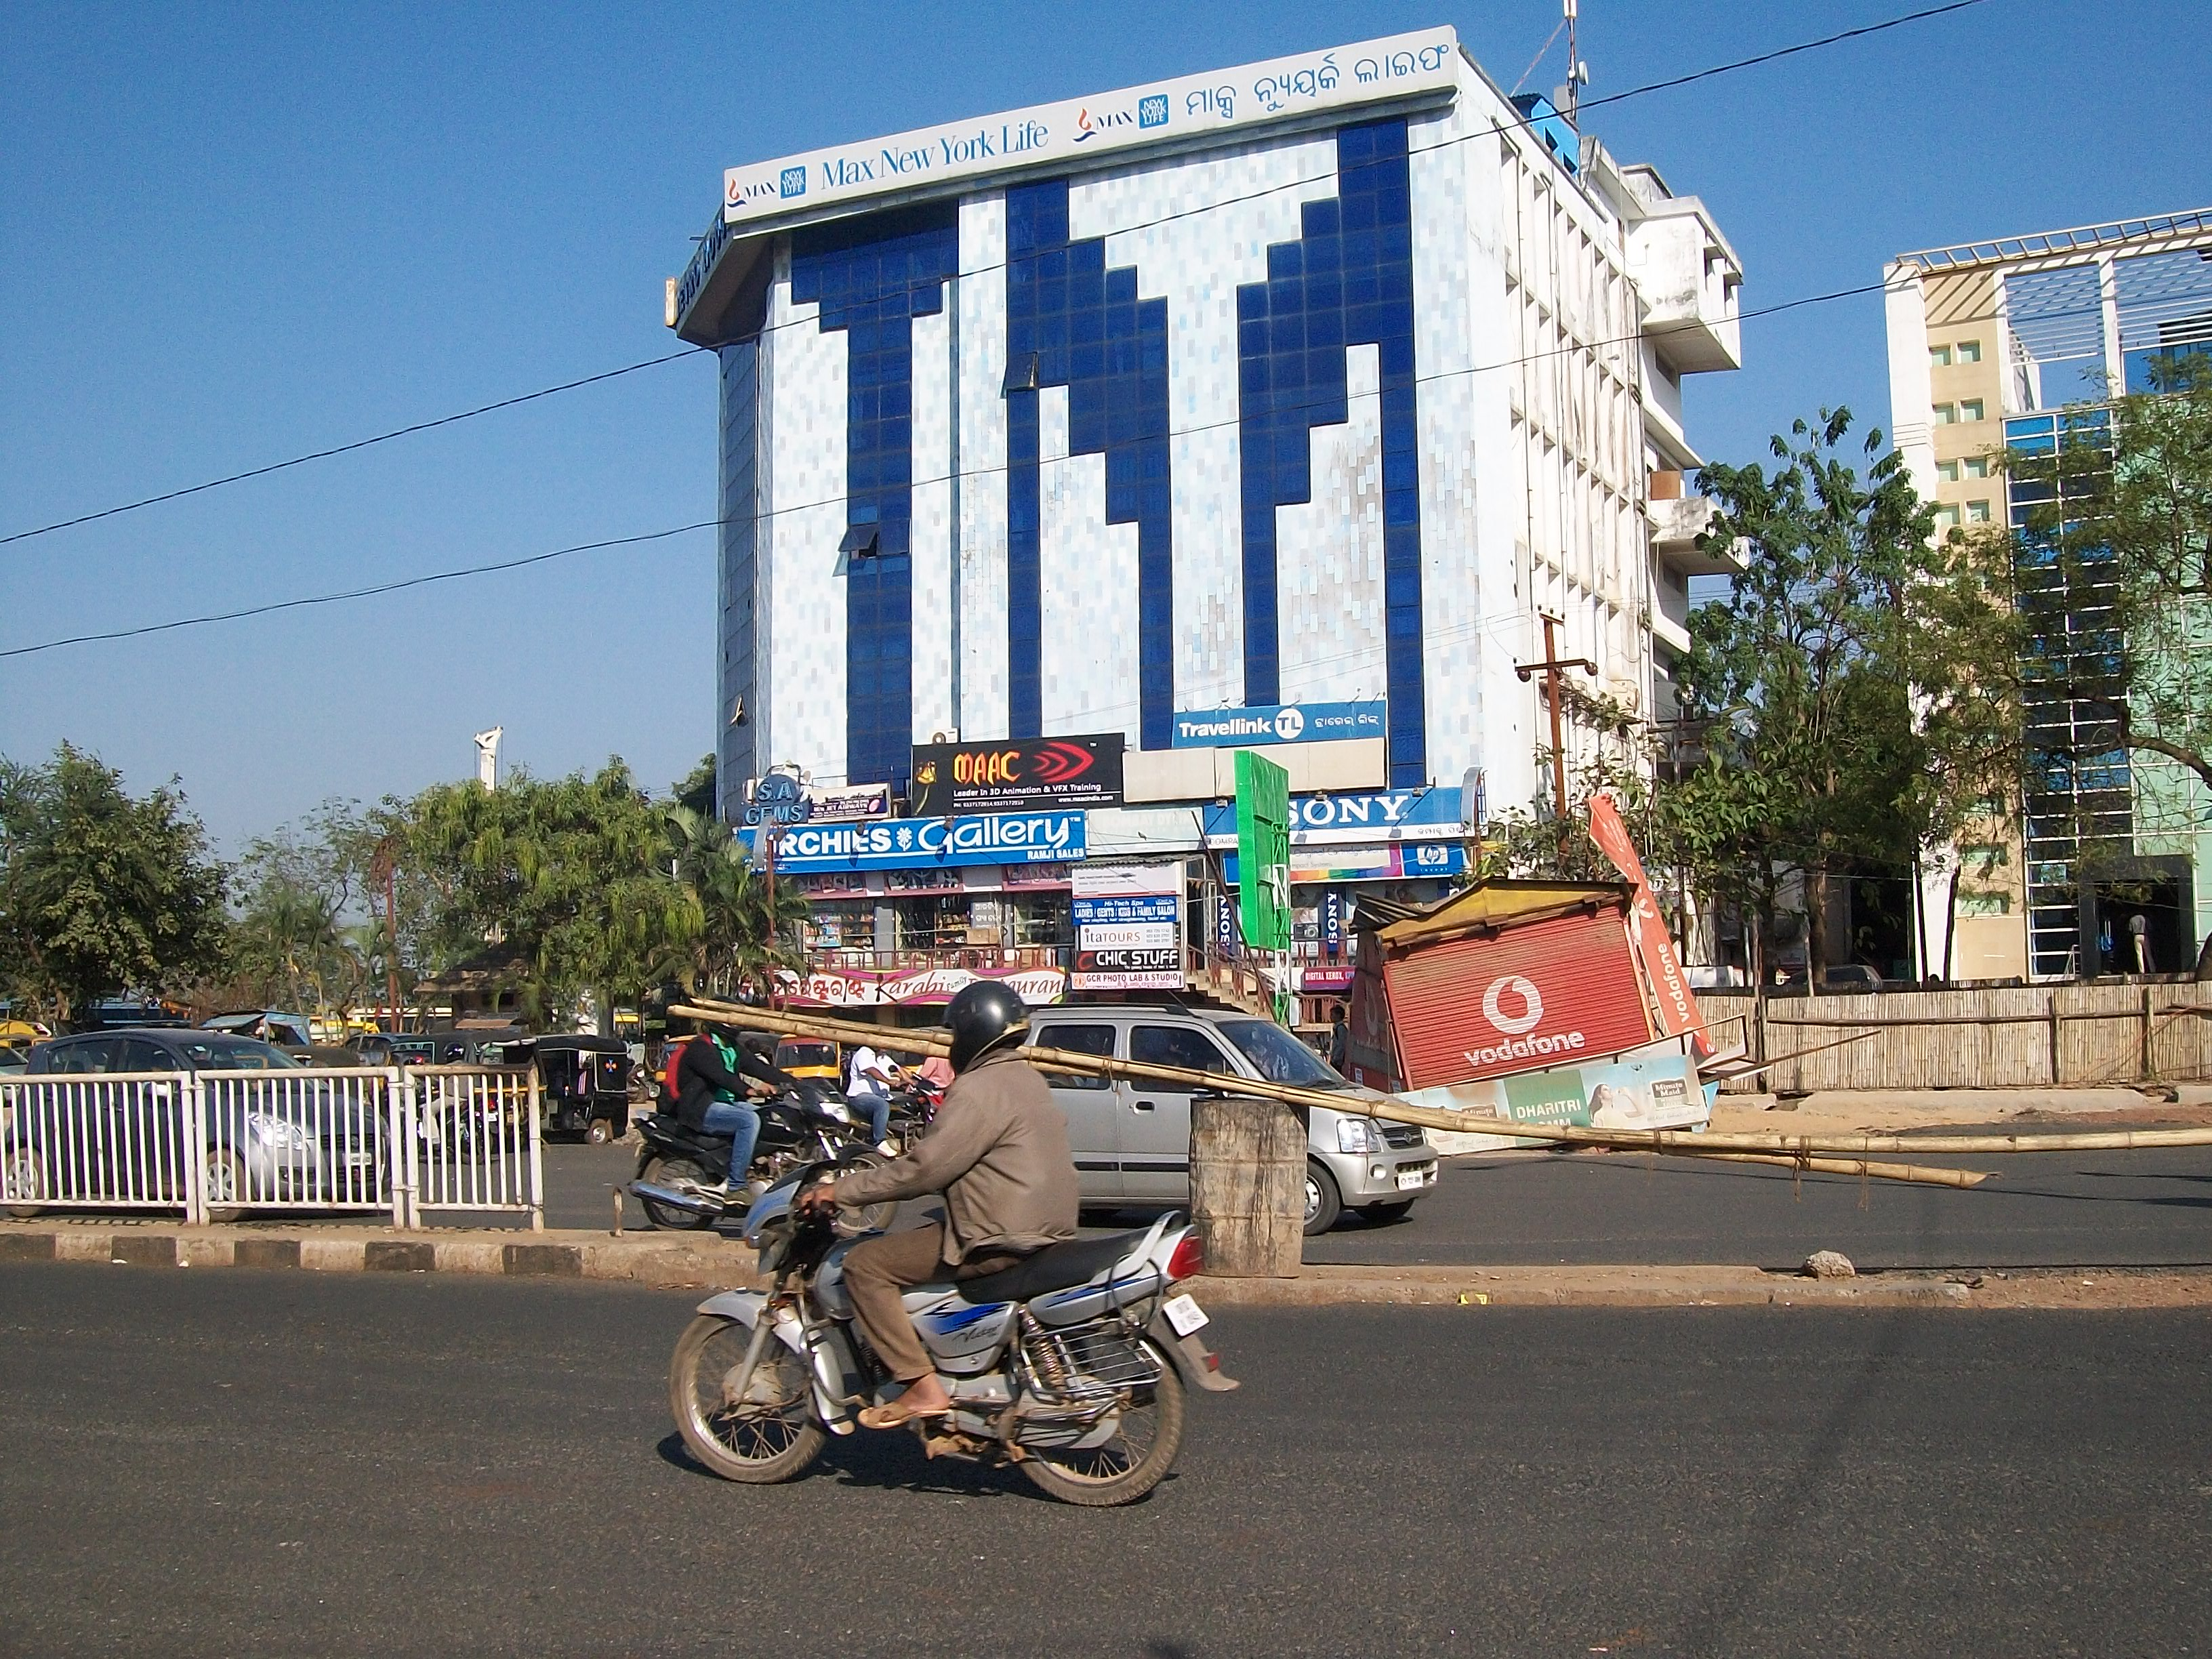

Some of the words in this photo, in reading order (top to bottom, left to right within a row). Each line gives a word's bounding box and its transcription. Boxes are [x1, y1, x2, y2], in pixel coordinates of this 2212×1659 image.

[1353, 40, 1453, 89] ଲାଇଫ
[1246, 45, 1342, 118] ନ୍ଯୁୟର୍କ
[1181, 79, 1242, 123] ମାକ୍ପ
[935, 123, 1000, 167] York
[997, 115, 1052, 158] Life
[1071, 103, 1135, 145] MAX
[818, 153, 876, 190] Max
[878, 140, 938, 183] New
[726, 176, 781, 211] MAX
[1175, 715, 1274, 738] Travellink
[1311, 710, 1356, 730] ଟ୍ରାଭେଲ ଲିଙ୍କ୍
[1355, 710, 1382, 728] ଳିକ୍
[950, 746, 1021, 788] MAAC
[755, 778, 796, 804] S.A
[951, 787, 980, 800] Leader
[978, 785, 990, 800] In
[985, 784, 1002, 799] 3D
[994, 783, 1044, 798] Animation
[1037, 783, 1054, 797] &
[1048, 781, 1071, 796] VFX
[1066, 777, 1103, 794] Training
[743, 802, 806, 829] GEMS
[1281, 793, 1410, 828] SONY
[758, 821, 894, 863] RCHIES
[911, 815, 1073, 859] Gallery
[1019, 844, 1057, 865] RAMJI
[1053, 845, 1086, 864] SALES
[1217, 893, 1233, 948] SONY
[1324, 888, 1340, 945] SONY
[1082, 930, 1143, 945] itatours
[1092, 945, 1180, 968] CHICSTUFF
[784, 974, 871, 1002] ଭେଷ୍ଟର ଣ୍ଟ୍
[871, 968, 949, 1007] Karabi
[1082, 970, 1104, 985] GCR
[1101, 972, 1128, 985] PHOTO
[1126, 972, 1146, 983] LAB
[1148, 968, 1180, 985] STUDIO
[1658, 940, 1694, 1026] vodafone
[1460, 1029, 1590, 1070] vodafone
[1513, 1095, 1586, 1122] DHARITRI